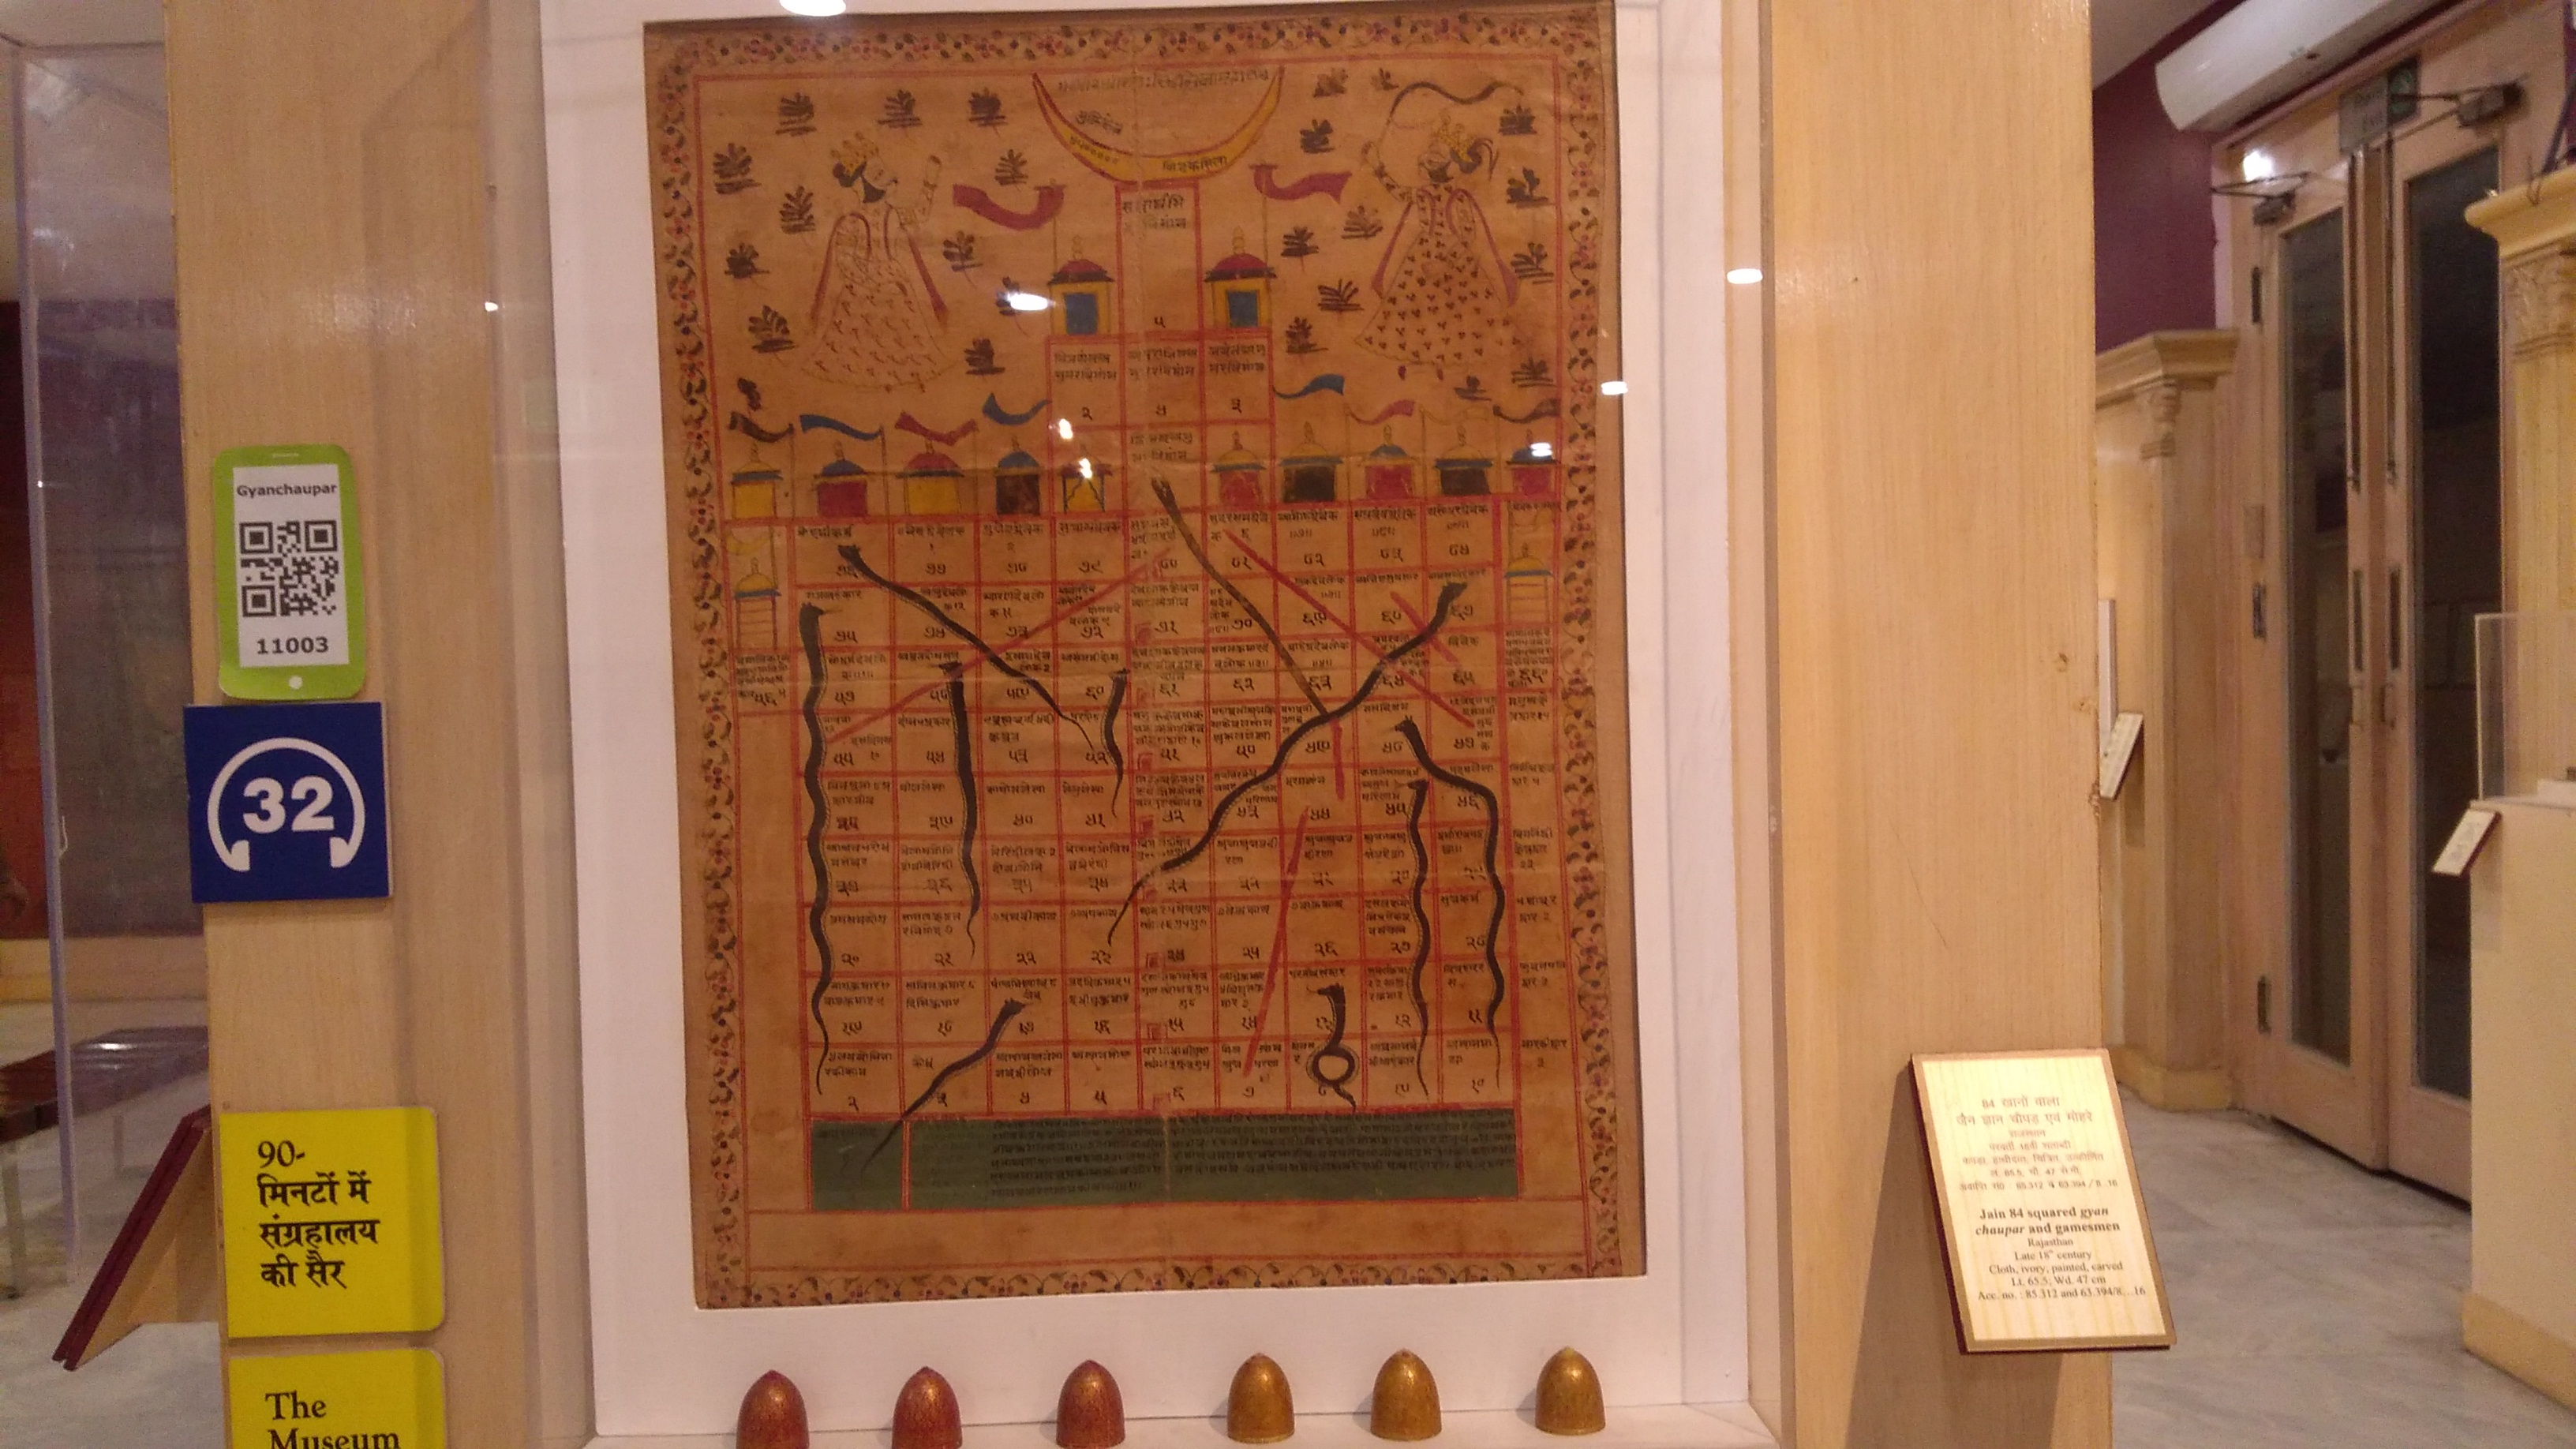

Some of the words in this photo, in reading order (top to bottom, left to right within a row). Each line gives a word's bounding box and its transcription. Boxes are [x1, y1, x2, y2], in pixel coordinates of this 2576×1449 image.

[233, 477, 342, 501] Gyanchaupar
[253, 632, 330, 661] 11003
[220, 762, 351, 871] 32
[1976, 1096, 2000, 1114] 84
[1994, 1089, 2035, 1112] खानो
[2032, 1091, 2066, 1110] वाला
[1952, 1106, 1980, 1129] जैन
[1976, 1110, 2009, 1129] ज्ञान
[2007, 1108, 2045, 1131] चौपड़
[2037, 1110, 2065, 1131] एवं
[2062, 1105, 2096, 1128] मोहरे
[249, 1134, 305, 1170] 90-
[1956, 1150, 1991, 1170] कपड़ा
[1986, 1136, 2020, 1156] परवती
[1988, 1149, 2030, 1170] हाथीदांत
[2026, 1148, 2062, 1164] चित्रित
[2040, 1135, 2076, 1156] शताब्दी
[249, 1163, 343, 1211] मिनटों
[339, 1165, 374, 1206] में
[1956, 1176, 1990, 1197] अवाप्‍ति
[1976, 1205, 2027, 1224] Jain84
[2023, 1204, 2079, 1225] squared
[2072, 1203, 2113, 1224] gyan
[258, 1208, 384, 1252] संग्रहालय
[1972, 1223, 2027, 1241] chaupar
[2024, 1221, 2057, 1239] and
[2053, 1219, 2125, 1238] gamesmen
[2024, 1235, 2077, 1252] Rajasthan
[254, 1249, 301, 1295] की
[293, 1245, 350, 1290] सैर
[1983, 1262, 2020, 1279] Cloth,
[2012, 1249, 2037, 1267] Late
[2016, 1263, 2048, 1279] ivory
[2033, 1249, 2054, 1268] 18th
[2046, 1260, 2092, 1277] painted,
[2052, 1249, 2096, 1265] century
[2085, 1260, 2129, 1275] carved
[1971, 1290, 2019, 1302] Acc.no.
[2020, 1286, 2062, 1302] 85.312
[2057, 1286, 2082, 1299] and
[2089, 1285, 2127, 1298] 394/8
[264, 1388, 332, 1426] The